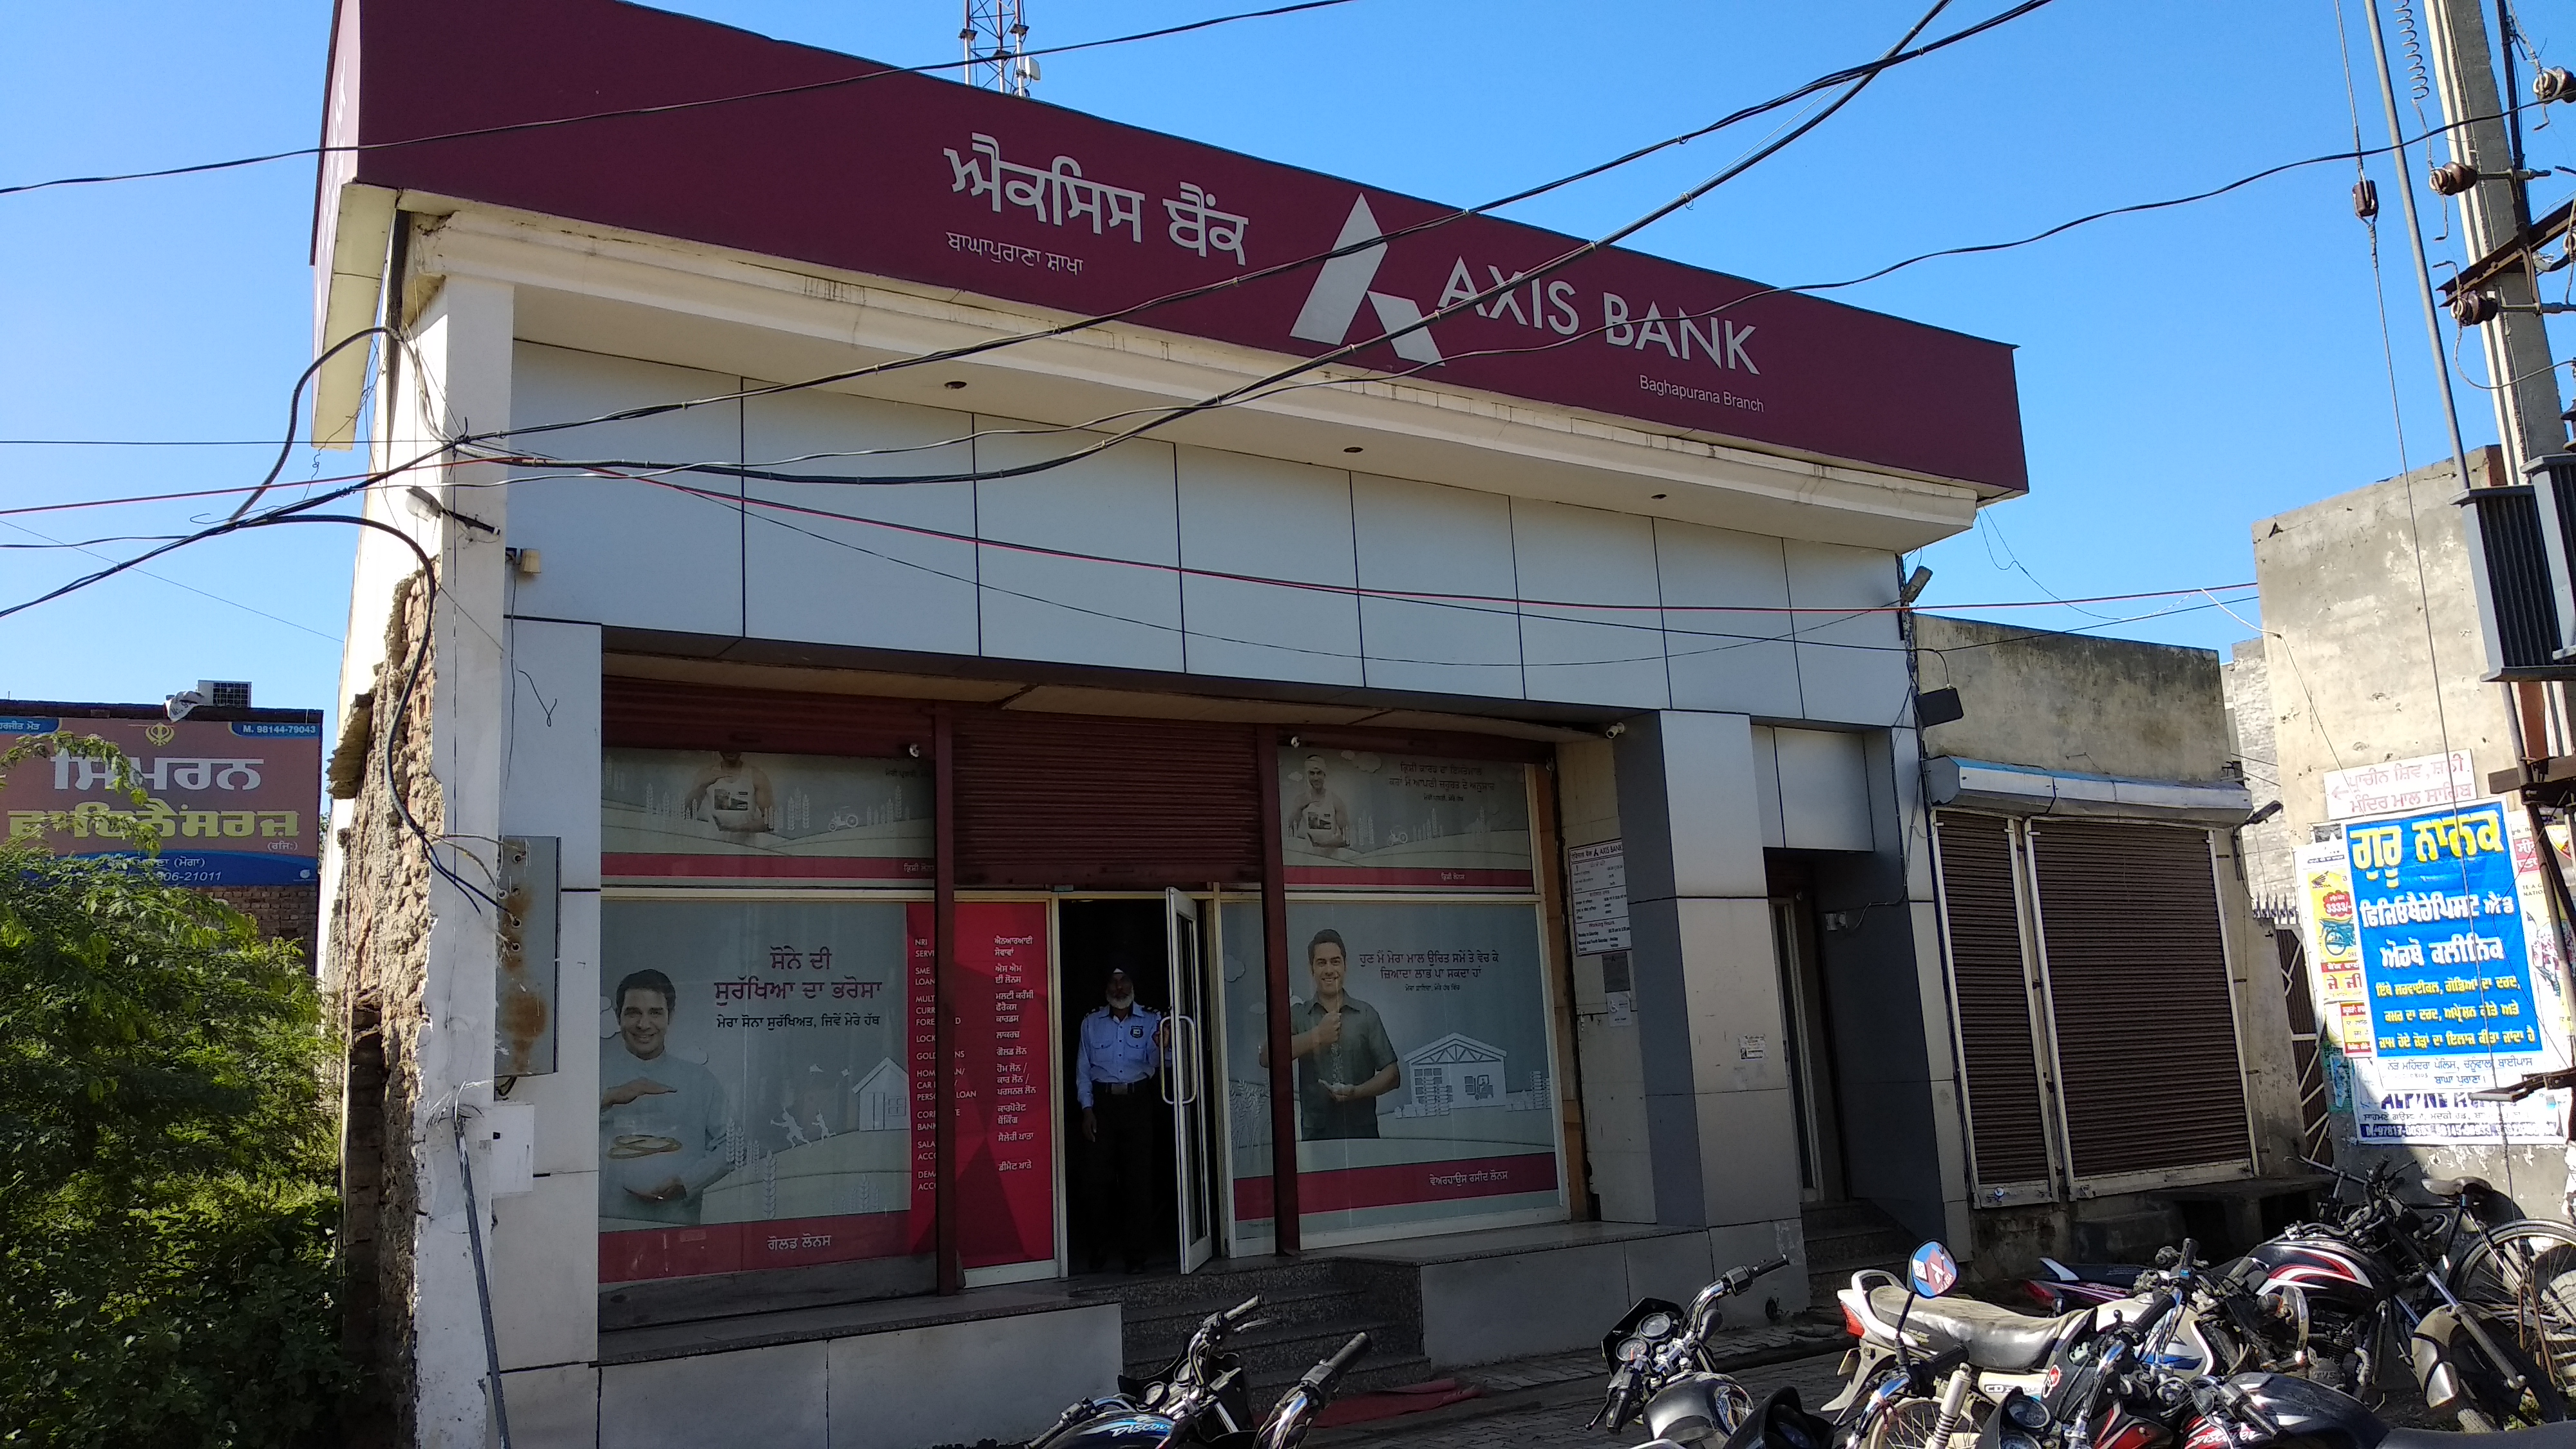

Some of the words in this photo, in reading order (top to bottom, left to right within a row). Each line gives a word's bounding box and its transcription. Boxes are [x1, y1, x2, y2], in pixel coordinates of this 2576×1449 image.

[917, 126, 1158, 256] ਐਕਸਿਸ
[1150, 169, 1270, 279] ਬੈਂਕ
[940, 227, 1046, 276] ਬਾਘਾਪੁਰਾਣਾ
[1044, 245, 1088, 278] ਸ਼ਾਖਾ
[1431, 243, 1596, 349] AXIS
[1597, 285, 1771, 385] BANK
[1635, 368, 1723, 410] Baghapurana
[1720, 384, 1768, 417] Branch
[24, 717, 43, 732] ਮੇਤ
[238, 721, 256, 737] M.
[254, 723, 318, 737] 98144-79043
[44, 732, 272, 800] ਸਿਮਰਨ
[2343, 761, 2391, 795] ਪ੍ਰਾਚੀਨ
[2390, 759, 2427, 784] ਸ਼ਿਵ
[2427, 750, 2471, 780] ਸ਼ਨੀ
[2345, 788, 2391, 815] ਮੰਦਿਰ
[2388, 788, 2424, 808] ਮਾਲ
[2423, 779, 2476, 805] ਸਾਹਿਬ
[176, 799, 305, 844] ਸਂਰਜ
[175, 852, 204, 869] (ਮੋਗਾ)
[268, 837, 297, 853] ਰਜਿ:
[2346, 819, 2407, 891] ਗੁਰੂ
[2406, 804, 2509, 867] ਨਾਨਕ
[182, 868, 225, 884] 21011
[2324, 900, 2354, 914] 3333/-
[2354, 886, 2484, 935] ਫਿਜਿਓਥੈਰੇਪਿਸਟ
[2481, 887, 2518, 918] ਐਂਡ
[761, 940, 808, 976] ਸੋਨੇ
[806, 940, 839, 975] ਦੀ
[1356, 949, 1376, 971] ਹੁਣ
[1375, 946, 1385, 965] ਮੈਂ
[1385, 947, 1405, 965] ਮੇਗ
[1404, 949, 1426, 967] ਮਾਲ
[1425, 947, 1450, 967] ਉਰਿਤ
[1450, 947, 1467, 965] ਸਮੇਂ
[1466, 945, 1477, 965] ਤੇ
[1474, 946, 1490, 966] ਵੇਚ
[1490, 946, 1502, 965] ਕੇ
[2372, 934, 2430, 974] ਅੋਰਬੋ
[2424, 928, 2507, 970] ਕਲੀਨਿਕ
[705, 968, 797, 1012] ਸੁਰਖਿਆ
[797, 976, 828, 1007] ਦਾ
[828, 971, 889, 1007] ਭਰੋਸਾ
[1377, 965, 1412, 981] ਜ਼ਿਆਦਾ
[1412, 967, 1433, 980] ਲਾਭ
[1433, 967, 1445, 980] ਪਾ
[1444, 967, 1470, 980] ਸਕਦਾ
[1470, 964, 1486, 979] ਹਾਂ
[2322, 972, 2343, 992] ਜੇ
[2342, 969, 2365, 991] ਜੀ
[2370, 978, 2394, 1001] ਇੱਥੇ
[2392, 978, 2441, 998] ਸਰਵਾਈਕਲ
[2440, 972, 2480, 997] ਗੇਡਿਆਂ
[2480, 974, 2495, 994] ਦਾ
[2492, 971, 2521, 993] ਦਰਦ,
[711, 1012, 739, 1031] ਮੇਰਾ
[739, 1010, 765, 1031] ਸੋਨਾ
[764, 1010, 815, 1032] ਸੁਰੱਖਿਅਤ
[817, 1008, 844, 1031] ਜਿਵੇਂ
[842, 1007, 863, 1029] ਮੇਰੇ
[861, 1009, 884, 1028] ਹੱਥ
[2379, 1006, 2405, 1026] ਕਮਰ
[2402, 1007, 2417, 1023] ਦਾ
[2418, 1005, 2440, 1025] ਦਰਦ
[2441, 1001, 2479, 1025] ਅਪ੍ਰੇਂਸਨ
[2498, 996, 2523, 1019] ਅਤੇ
[2375, 1035, 2397, 1050] ਜਾਮ
[2394, 1028, 2414, 1052] ਹੋਏ
[2409, 1029, 2433, 1050] ਜੇੜਾਂ
[2429, 1030, 2447, 1049] ਦਾ
[2443, 1027, 2477, 1050] ਇਲਾਜ
[2476, 1027, 2502, 1048] ਕੀਤਾ
[2500, 1023, 2528, 1047] ਜਾਂਦਾ
[2523, 1021, 2541, 1045] ਹੈ
[1425, 1170, 1468, 1191] ਵੇਅਰਹਾਉਸ
[1468, 1168, 1490, 1185] ਰਸੀਦ
[1488, 1166, 1510, 1182] ਲੋਨਸ
[762, 1231, 801, 1256] ਗੋਲਡ
[800, 1230, 837, 1252] ਲੋਨਸ